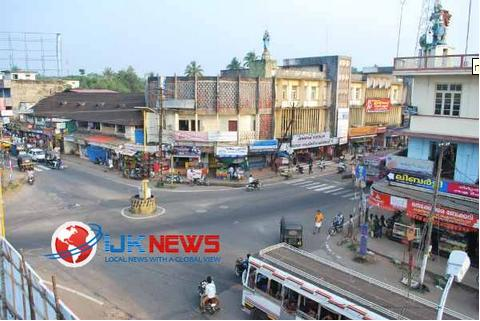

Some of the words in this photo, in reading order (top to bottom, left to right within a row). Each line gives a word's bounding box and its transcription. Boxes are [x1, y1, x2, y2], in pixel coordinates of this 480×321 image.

[99, 229, 225, 259] IJKNEWS
[99, 251, 153, 267] LOCALNEWS
[145, 249, 227, 269] WITHAGLOBALNEW